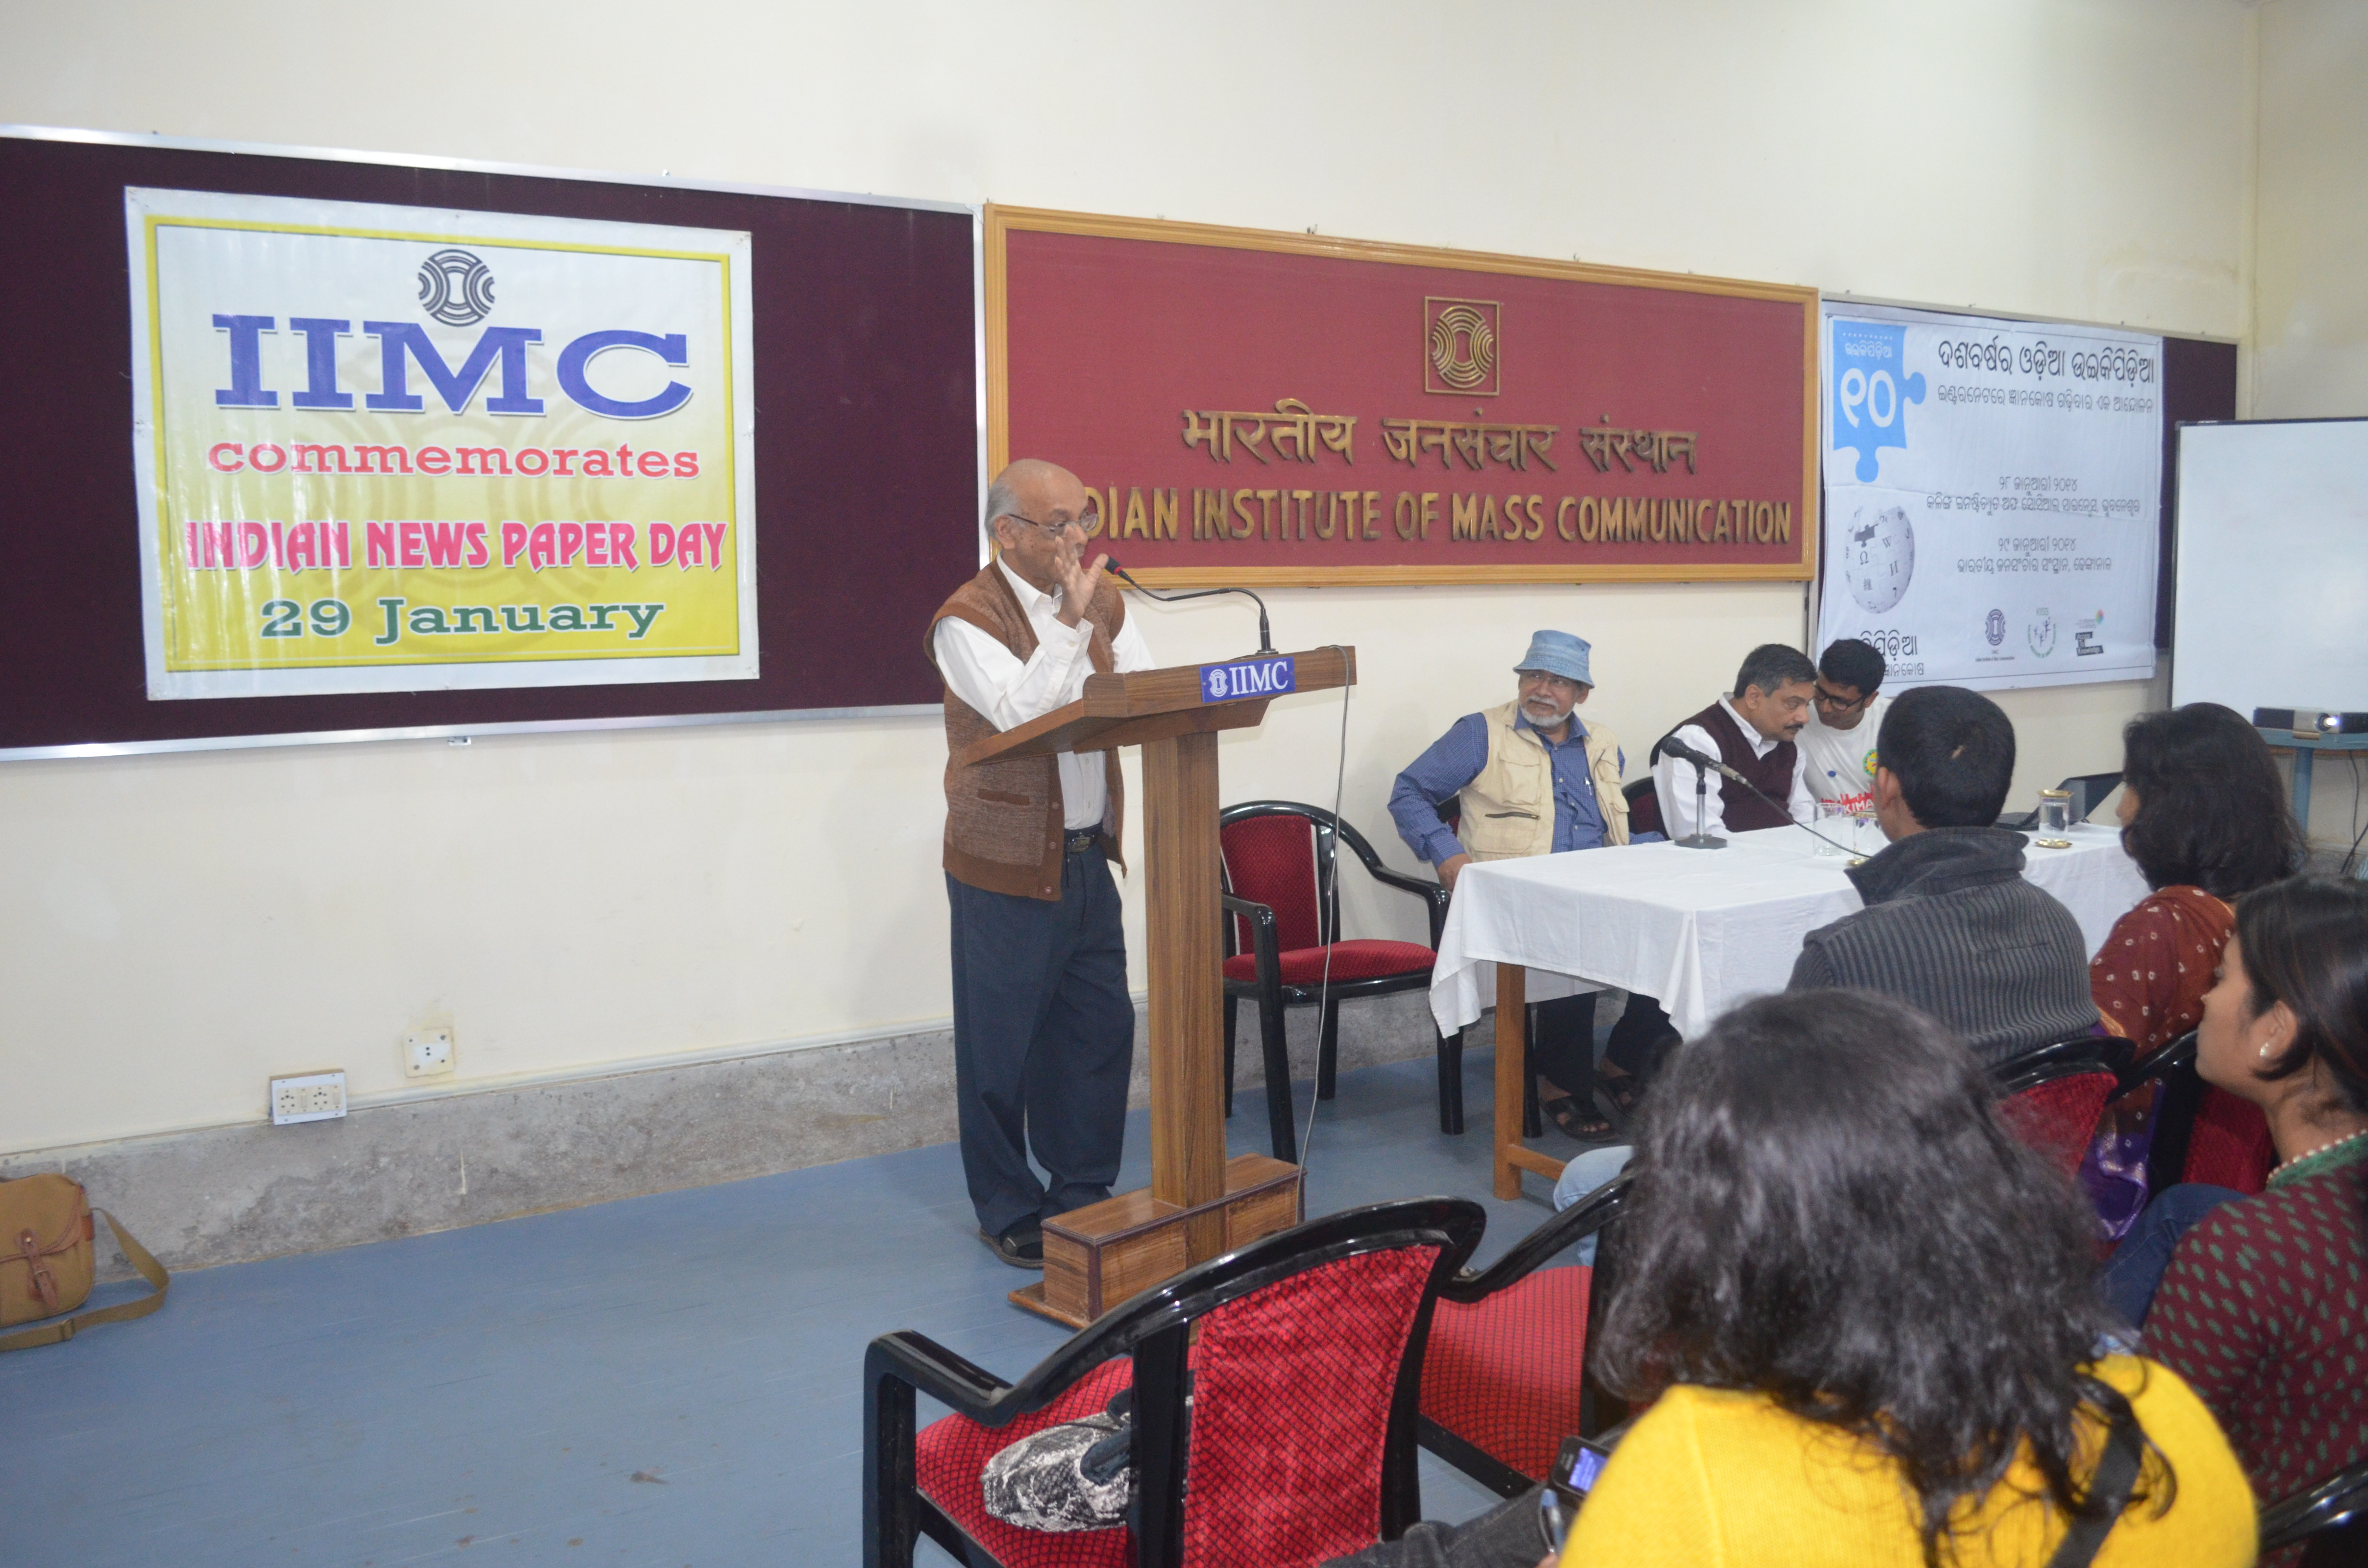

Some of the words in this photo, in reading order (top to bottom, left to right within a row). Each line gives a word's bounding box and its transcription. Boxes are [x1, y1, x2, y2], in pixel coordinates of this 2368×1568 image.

[207, 306, 695, 424] IIMC
[1937, 330, 2014, 379] ଦଶବର୍ଷର
[2017, 337, 2068, 384] ଓଡ଼ିଆ
[2068, 344, 2157, 391] ଉଇକିପିଡ଼ିଆ
[1936, 383, 2008, 407] ଇଣ୍ଟରନେଟରେ
[2007, 388, 2059, 411] ଜ୍ଞାନକୋଷ
[2054, 386, 2096, 415] ଗଢ଼ିବାର
[2095, 392, 2156, 417] ଏକ ଆନ୍ଦୋଳନ
[205, 439, 704, 482] commemorates
[1178, 388, 1359, 468] भारतीय
[1186, 483, 1385, 545] INSTITUTE
[1387, 484, 1446, 550] OF
[1376, 404, 1563, 475] जनसंचार
[1442, 484, 1550, 552] MASS
[1565, 407, 1701, 479] संस्थान
[1556, 493, 1795, 547] COMMUNICATION
[1924, 486, 1954, 512] କଳିଙ୍ଗ
[1952, 490, 2003, 517] ଇନଷ୍ଟିଚ୍ୟୁଟ
[1999, 493, 2021, 514] ଅଫ
[1997, 472, 2053, 492] ୨୮ ଜାନୁଆରୀ
[2019, 489, 2063, 514] ସୋସିଆଲ
[2051, 474, 2079, 495] ୨୦୧୪
[2059, 494, 2102, 521] ସାଇନ୍ସେସ,
[2100, 495, 2142, 518] ଭୁବନେଶ୍ବର
[175, 514, 355, 575] INDIAN
[364, 516, 495, 571] NEWS
[495, 518, 639, 573] PAPER
[641, 514, 734, 575] DAY
[1954, 557, 1996, 576] ଭାରତୀୟ
[1997, 534, 2012, 555] ୨୯
[1996, 554, 2040, 574] ଜନସଂଚାର
[2010, 535, 2052, 560] ଜାନୁଆରୀ
[2039, 554, 2070, 578] ସଂସ୍ଥାନ,
[2050, 534, 2078, 555] ୨୦୧୪
[2072, 554, 2113, 574] ଢେଙ୍କାନାଳ
[249, 590, 355, 650] 29
[374, 592, 667, 651] January
[1201, 656, 1294, 699] IIMC